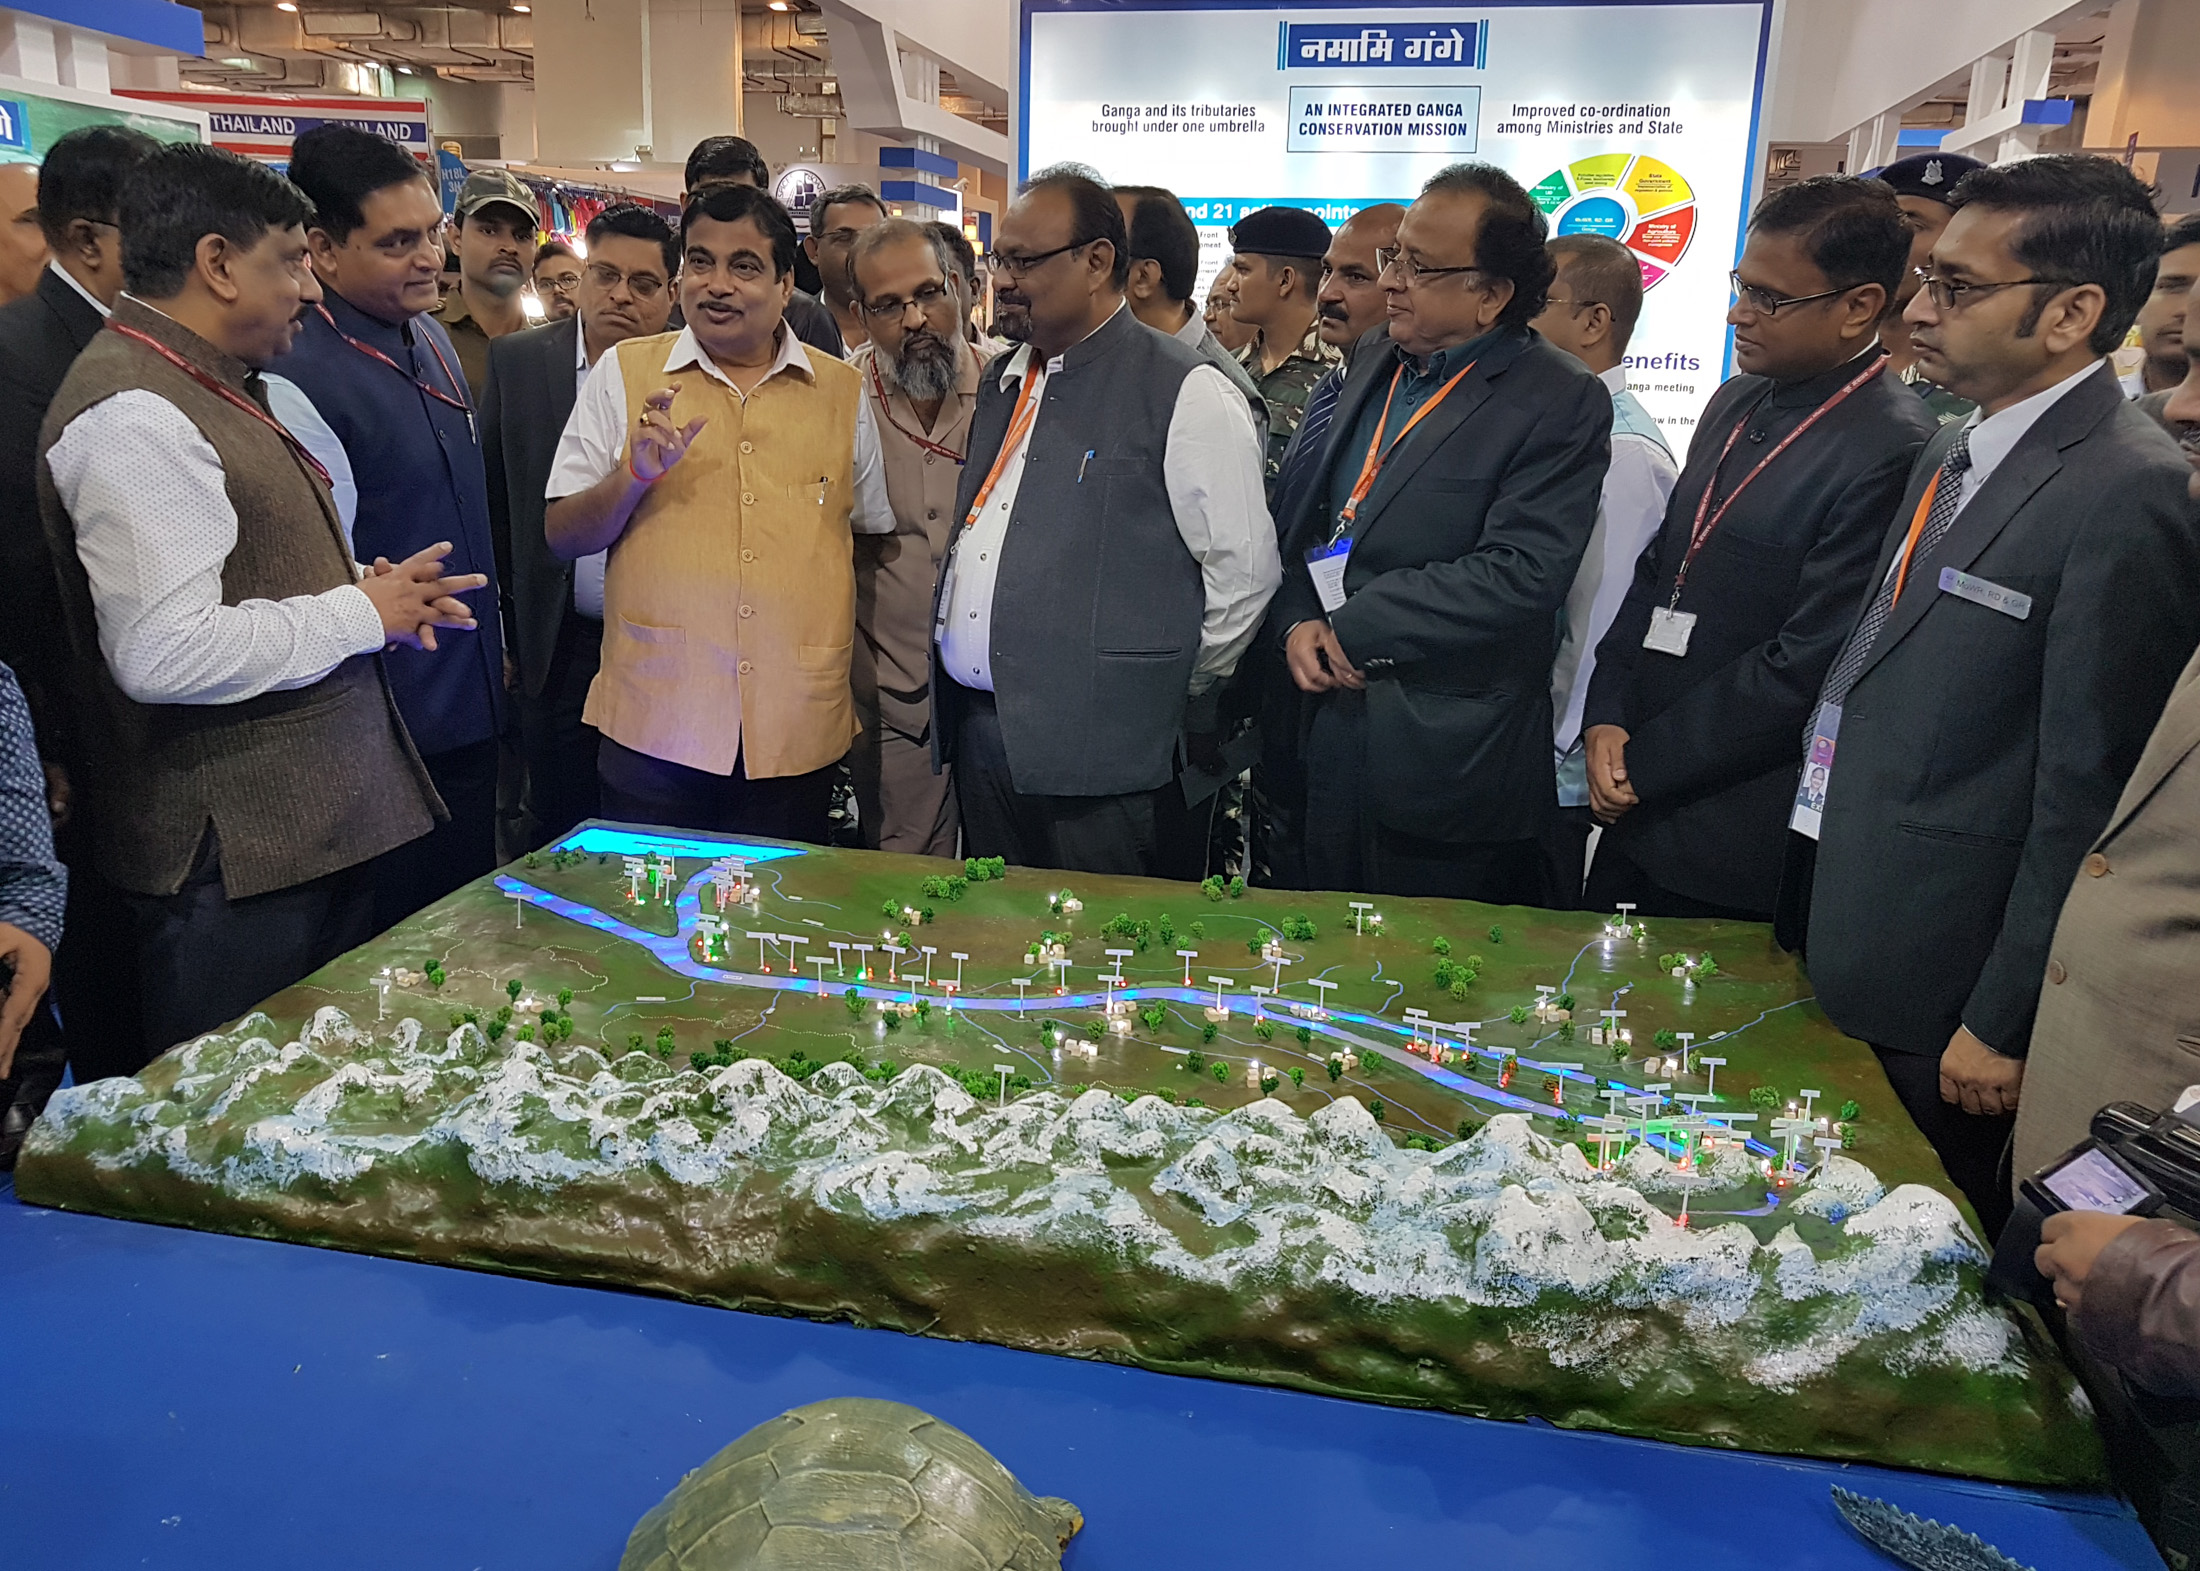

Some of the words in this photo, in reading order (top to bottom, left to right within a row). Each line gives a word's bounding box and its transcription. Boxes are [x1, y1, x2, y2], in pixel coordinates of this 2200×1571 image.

[1293, 17, 1396, 71] नमामि
[1403, 22, 1469, 67] गंगे
[205, 110, 300, 139] THAILAND
[370, 114, 417, 146] AND
[1086, 116, 1144, 143] brought
[1095, 99, 1146, 125] Ganga
[1141, 99, 1173, 123] and
[1138, 117, 1182, 136] under
[1163, 97, 1193, 125] its
[1177, 114, 1210, 139] one
[1184, 97, 1261, 122] tribularies
[1205, 110, 1270, 140] umbrella
[1295, 101, 1329, 119] AN
[1295, 118, 1409, 141] CONSERVATION
[1324, 97, 1417, 121] INTEGRATED
[1401, 117, 1473, 143] MISSION
[1411, 98, 1469, 123] GANGA
[1491, 118, 1549, 142] among
[1507, 100, 1581, 125] Improved
[1543, 112, 1617, 141] Ministries
[1574, 97, 1675, 123] co-ordination
[1613, 113, 1649, 140] and
[1643, 115, 1688, 139] State
[1651, 375, 1701, 400] meeting